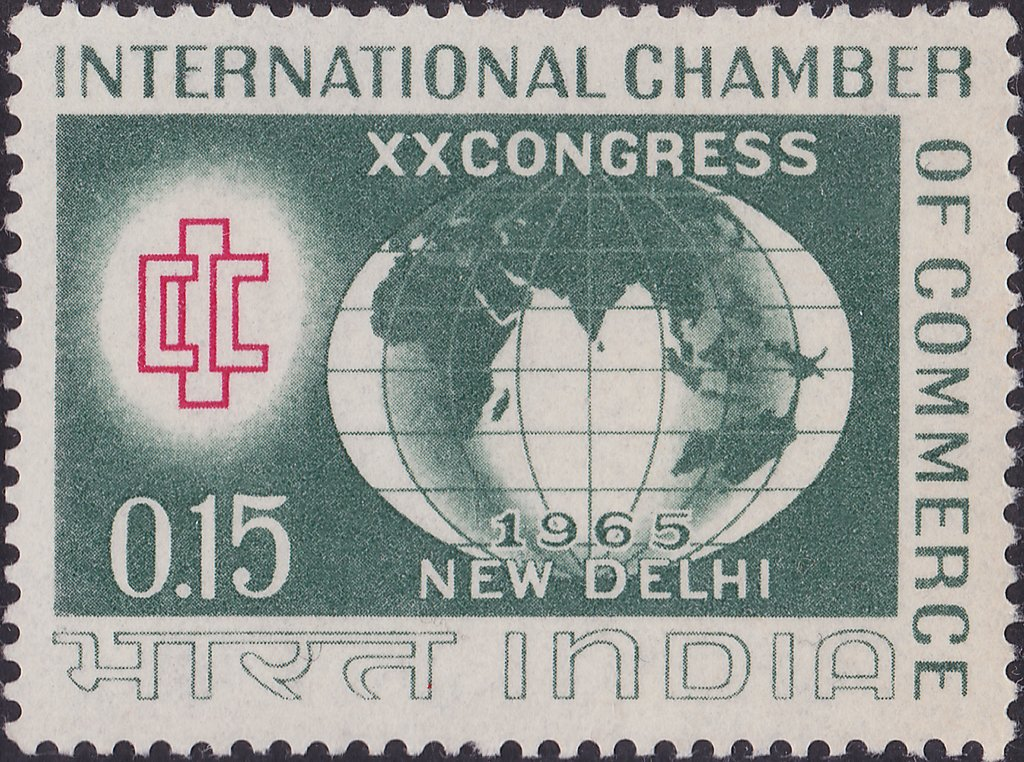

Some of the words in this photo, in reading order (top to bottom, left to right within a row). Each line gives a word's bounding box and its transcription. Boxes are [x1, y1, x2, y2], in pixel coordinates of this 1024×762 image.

[51, 33, 614, 107] INTERNATIONAL
[617, 38, 982, 110] CHAMBER
[358, 121, 829, 185] XXCONGRESS
[907, 136, 979, 242] OF
[901, 257, 981, 707] COMMERCE
[99, 486, 296, 608] 0.15
[415, 556, 554, 607] NEW
[487, 505, 692, 551] 1965
[581, 551, 776, 607] DELHI
[44, 622, 463, 715] भारत
[496, 617, 900, 713] पाताळात